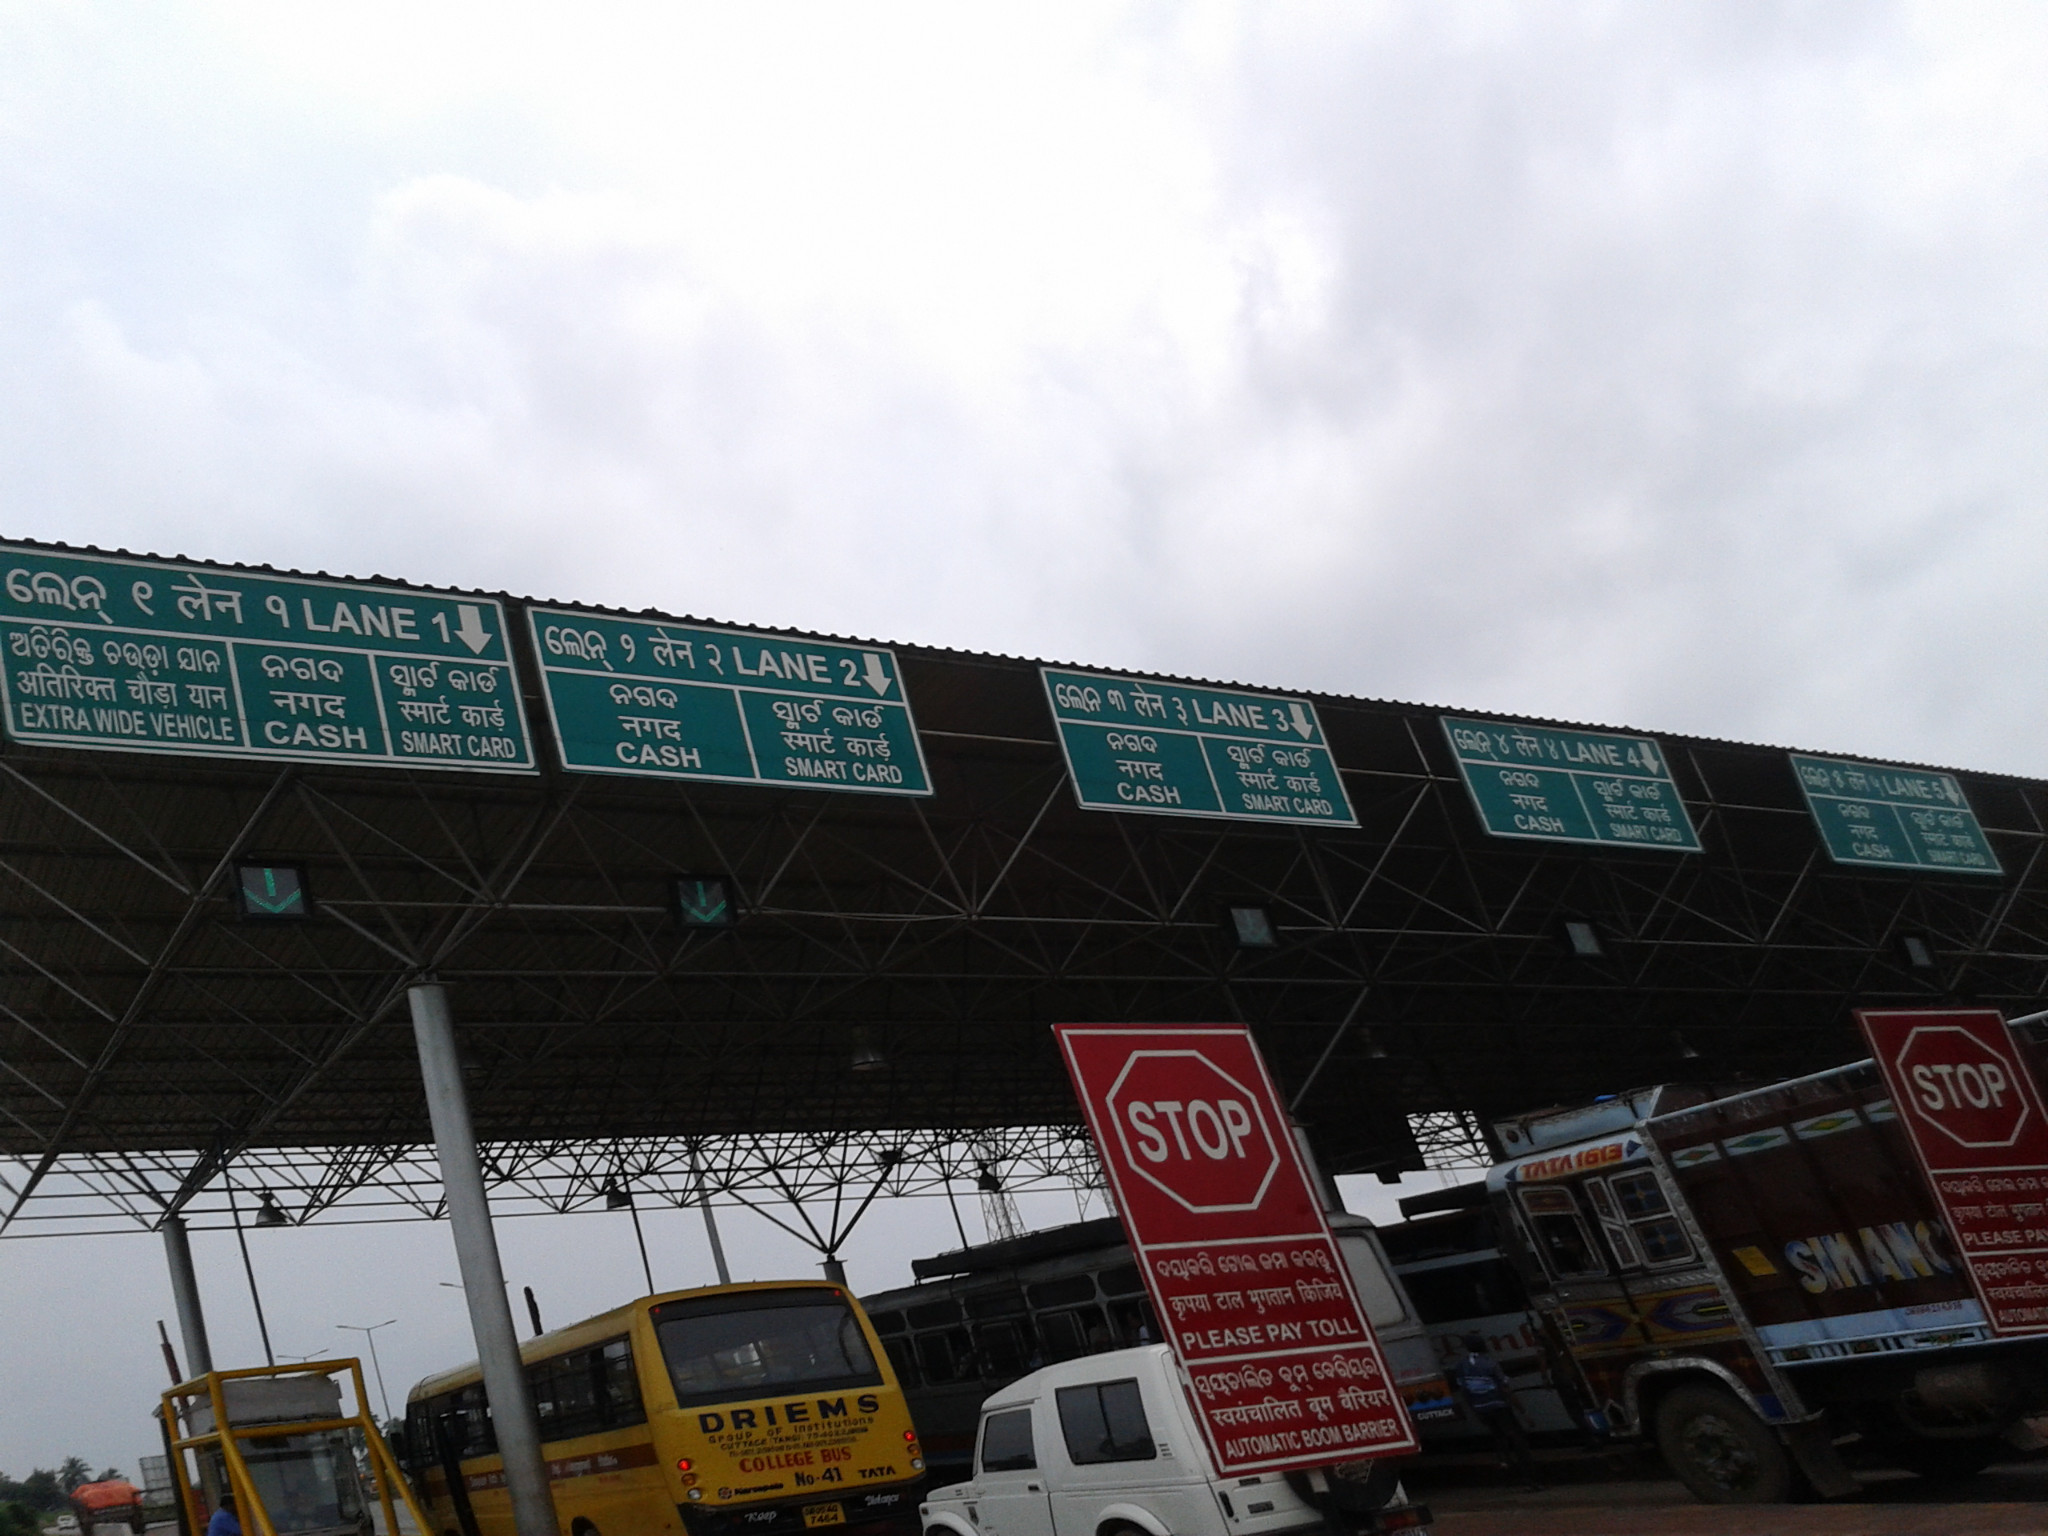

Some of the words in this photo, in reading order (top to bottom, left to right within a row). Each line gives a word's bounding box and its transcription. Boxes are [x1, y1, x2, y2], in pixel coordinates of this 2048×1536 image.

[3, 561, 117, 631] ଲେନ୍
[126, 573, 161, 624] ୧
[168, 567, 249, 629] लेन
[259, 589, 298, 638] १
[302, 591, 424, 645] LANE
[5, 617, 101, 673] ଅତିରିକ୍ତ
[15, 697, 98, 734] EXTRA
[12, 653, 123, 706] अतिरिक्त
[88, 703, 152, 738] WIDE
[95, 633, 179, 684] ଚଉଡ଼ା
[117, 667, 186, 711] चौड़ा
[146, 707, 238, 748] VEHICLE
[169, 639, 229, 679] ଯାନ
[180, 677, 233, 718] यान
[253, 647, 347, 685] ନଗଦ
[263, 687, 351, 720] नगद
[261, 710, 371, 752] CASH
[385, 655, 443, 703] ସ୍ମାର୍ଟ
[391, 690, 459, 730] स्‍मार्ट
[397, 725, 469, 761] SMART
[441, 664, 505, 701] କାର୍ଡ
[454, 698, 511, 739] कार्ड़
[461, 724, 523, 765] CARD
[538, 619, 621, 680] ଲେନ୍
[615, 626, 643, 671] ୨
[607, 675, 685, 713] ନଗଦ
[615, 711, 688, 743] नगद
[611, 731, 707, 772] CASH
[643, 621, 701, 672] लेन
[697, 637, 729, 679] २
[729, 642, 839, 687] LANE
[769, 695, 827, 737] ସ୍ମାର୍ଟ
[777, 722, 839, 761] स्‍मार्ट
[781, 752, 854, 783] SMART
[835, 651, 866, 697] 2
[828, 697, 889, 735] କାର୍ଡ
[842, 727, 897, 767] कार्ड़
[845, 755, 907, 787] CARD
[1046, 671, 1109, 722] ଲେନ
[1099, 679, 1135, 718] ୩
[1103, 727, 1161, 757] ନଗଦ
[1113, 755, 1167, 786] नगद
[1110, 775, 1187, 807] CASH
[1125, 675, 1173, 725] लेन
[1166, 690, 1198, 734] ३
[1187, 696, 1295, 737] LANE3
[1223, 739, 1269, 777] ସ୍ମାର୍ଟ
[1230, 765, 1284, 795] स्‍मार्ट
[1239, 785, 1298, 819] SMART
[1264, 744, 1317, 773] କାର୍ଡ
[1280, 771, 1327, 799] कार्ड़
[1286, 792, 1337, 821] CARD
[1449, 725, 1500, 764] ଲେନ୍
[1487, 731, 1515, 759] ४
[1495, 761, 1543, 793] ନଗଦ
[1504, 721, 1549, 765] लेन
[1507, 786, 1554, 815] नगद
[1508, 808, 1568, 837] CASH
[1539, 734, 1565, 765] ४
[1557, 738, 1628, 770] LANE
[1587, 771, 1630, 807] ସ୍ମାର୍ଟ
[1601, 800, 1643, 825] स्मार्ट
[1606, 817, 1655, 847] SMART
[1619, 739, 1651, 773] 4
[1623, 779, 1664, 805] ସ୍ମାର୍ଟ
[1637, 802, 1676, 827] कार्ड़
[1645, 818, 1685, 846] CARD
[1906, 1050, 2013, 1119] STOP
[1117, 1083, 1263, 1181] STOP
[1152, 1242, 1222, 1283] ଦୟାକରି
[1211, 1244, 1265, 1279] ଟୋଲ
[1252, 1249, 1295, 1275] ଜମା
[1287, 1243, 1341, 1279] କରନ୍ତୁ
[1166, 1288, 1216, 1327] कृपया
[1209, 1287, 1249, 1318] टाल
[1241, 1278, 1299, 1323] भुगतान
[1288, 1273, 1350, 1308] किजिये
[1174, 1321, 1267, 1357] PLEASE
[1263, 1317, 1307, 1350] PAY
[1305, 1308, 1363, 1348] TOLL
[705, 1427, 755, 1449] GPOUP
[759, 1423, 789, 1439] OF
[731, 1446, 818, 1479] COLLEGE
[694, 1387, 886, 1441] DRIEMS
[789, 1461, 853, 1488] No-41
[789, 1410, 875, 1439] institutions
[818, 1443, 858, 1468] BUS
[853, 1459, 902, 1483] TATA
[1193, 1358, 1277, 1405] ସ୍ବୟଂଚାଲିତ
[1207, 1392, 1307, 1433] स्वयंचालित
[1220, 1425, 1309, 1463] AUTOMATIC
[1269, 1359, 1319, 1400] ଚୁମ୍
[1303, 1391, 1343, 1427] बूम
[1298, 1421, 1351, 1451] BOOM
[1306, 1351, 1385, 1385] ବେରିସ୍‌ର
[1329, 1375, 1392, 1417] बैरियर
[1339, 1412, 1407, 1448] BARRIER